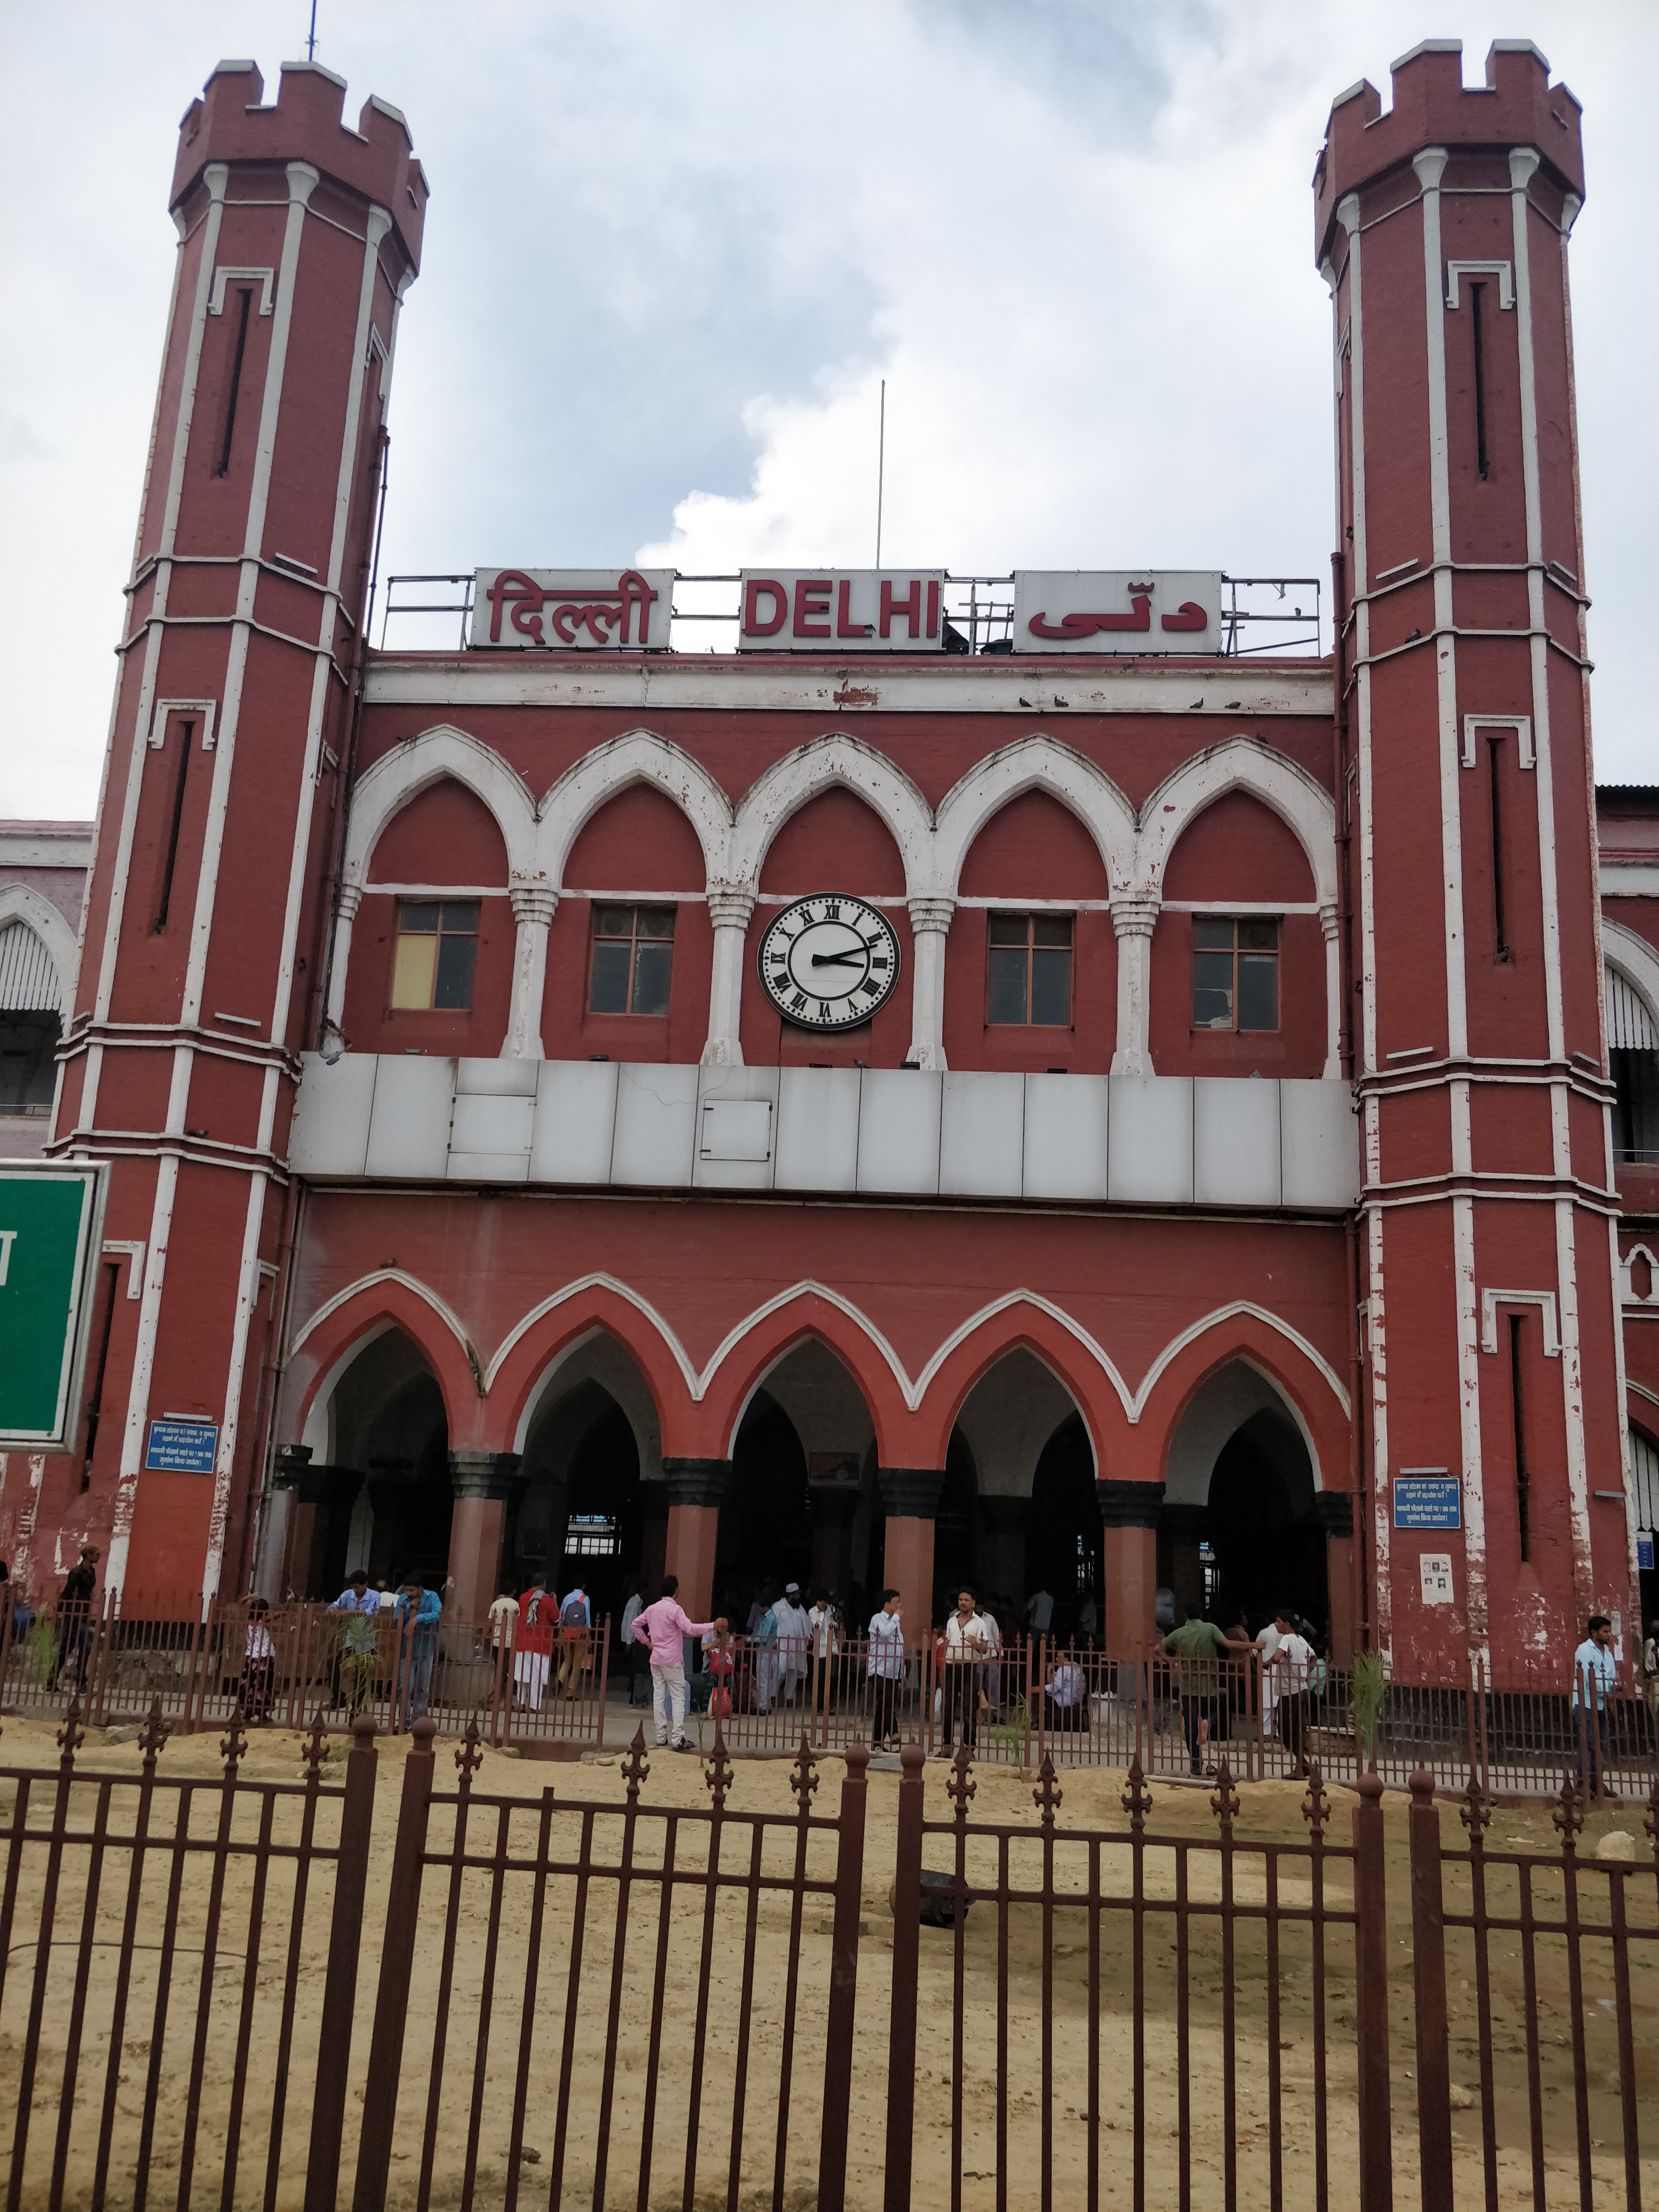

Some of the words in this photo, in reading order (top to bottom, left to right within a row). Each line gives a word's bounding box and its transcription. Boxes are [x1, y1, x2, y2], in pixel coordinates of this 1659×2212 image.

[485, 568, 658, 643] दिल्ली
[737, 571, 949, 649] DELHI